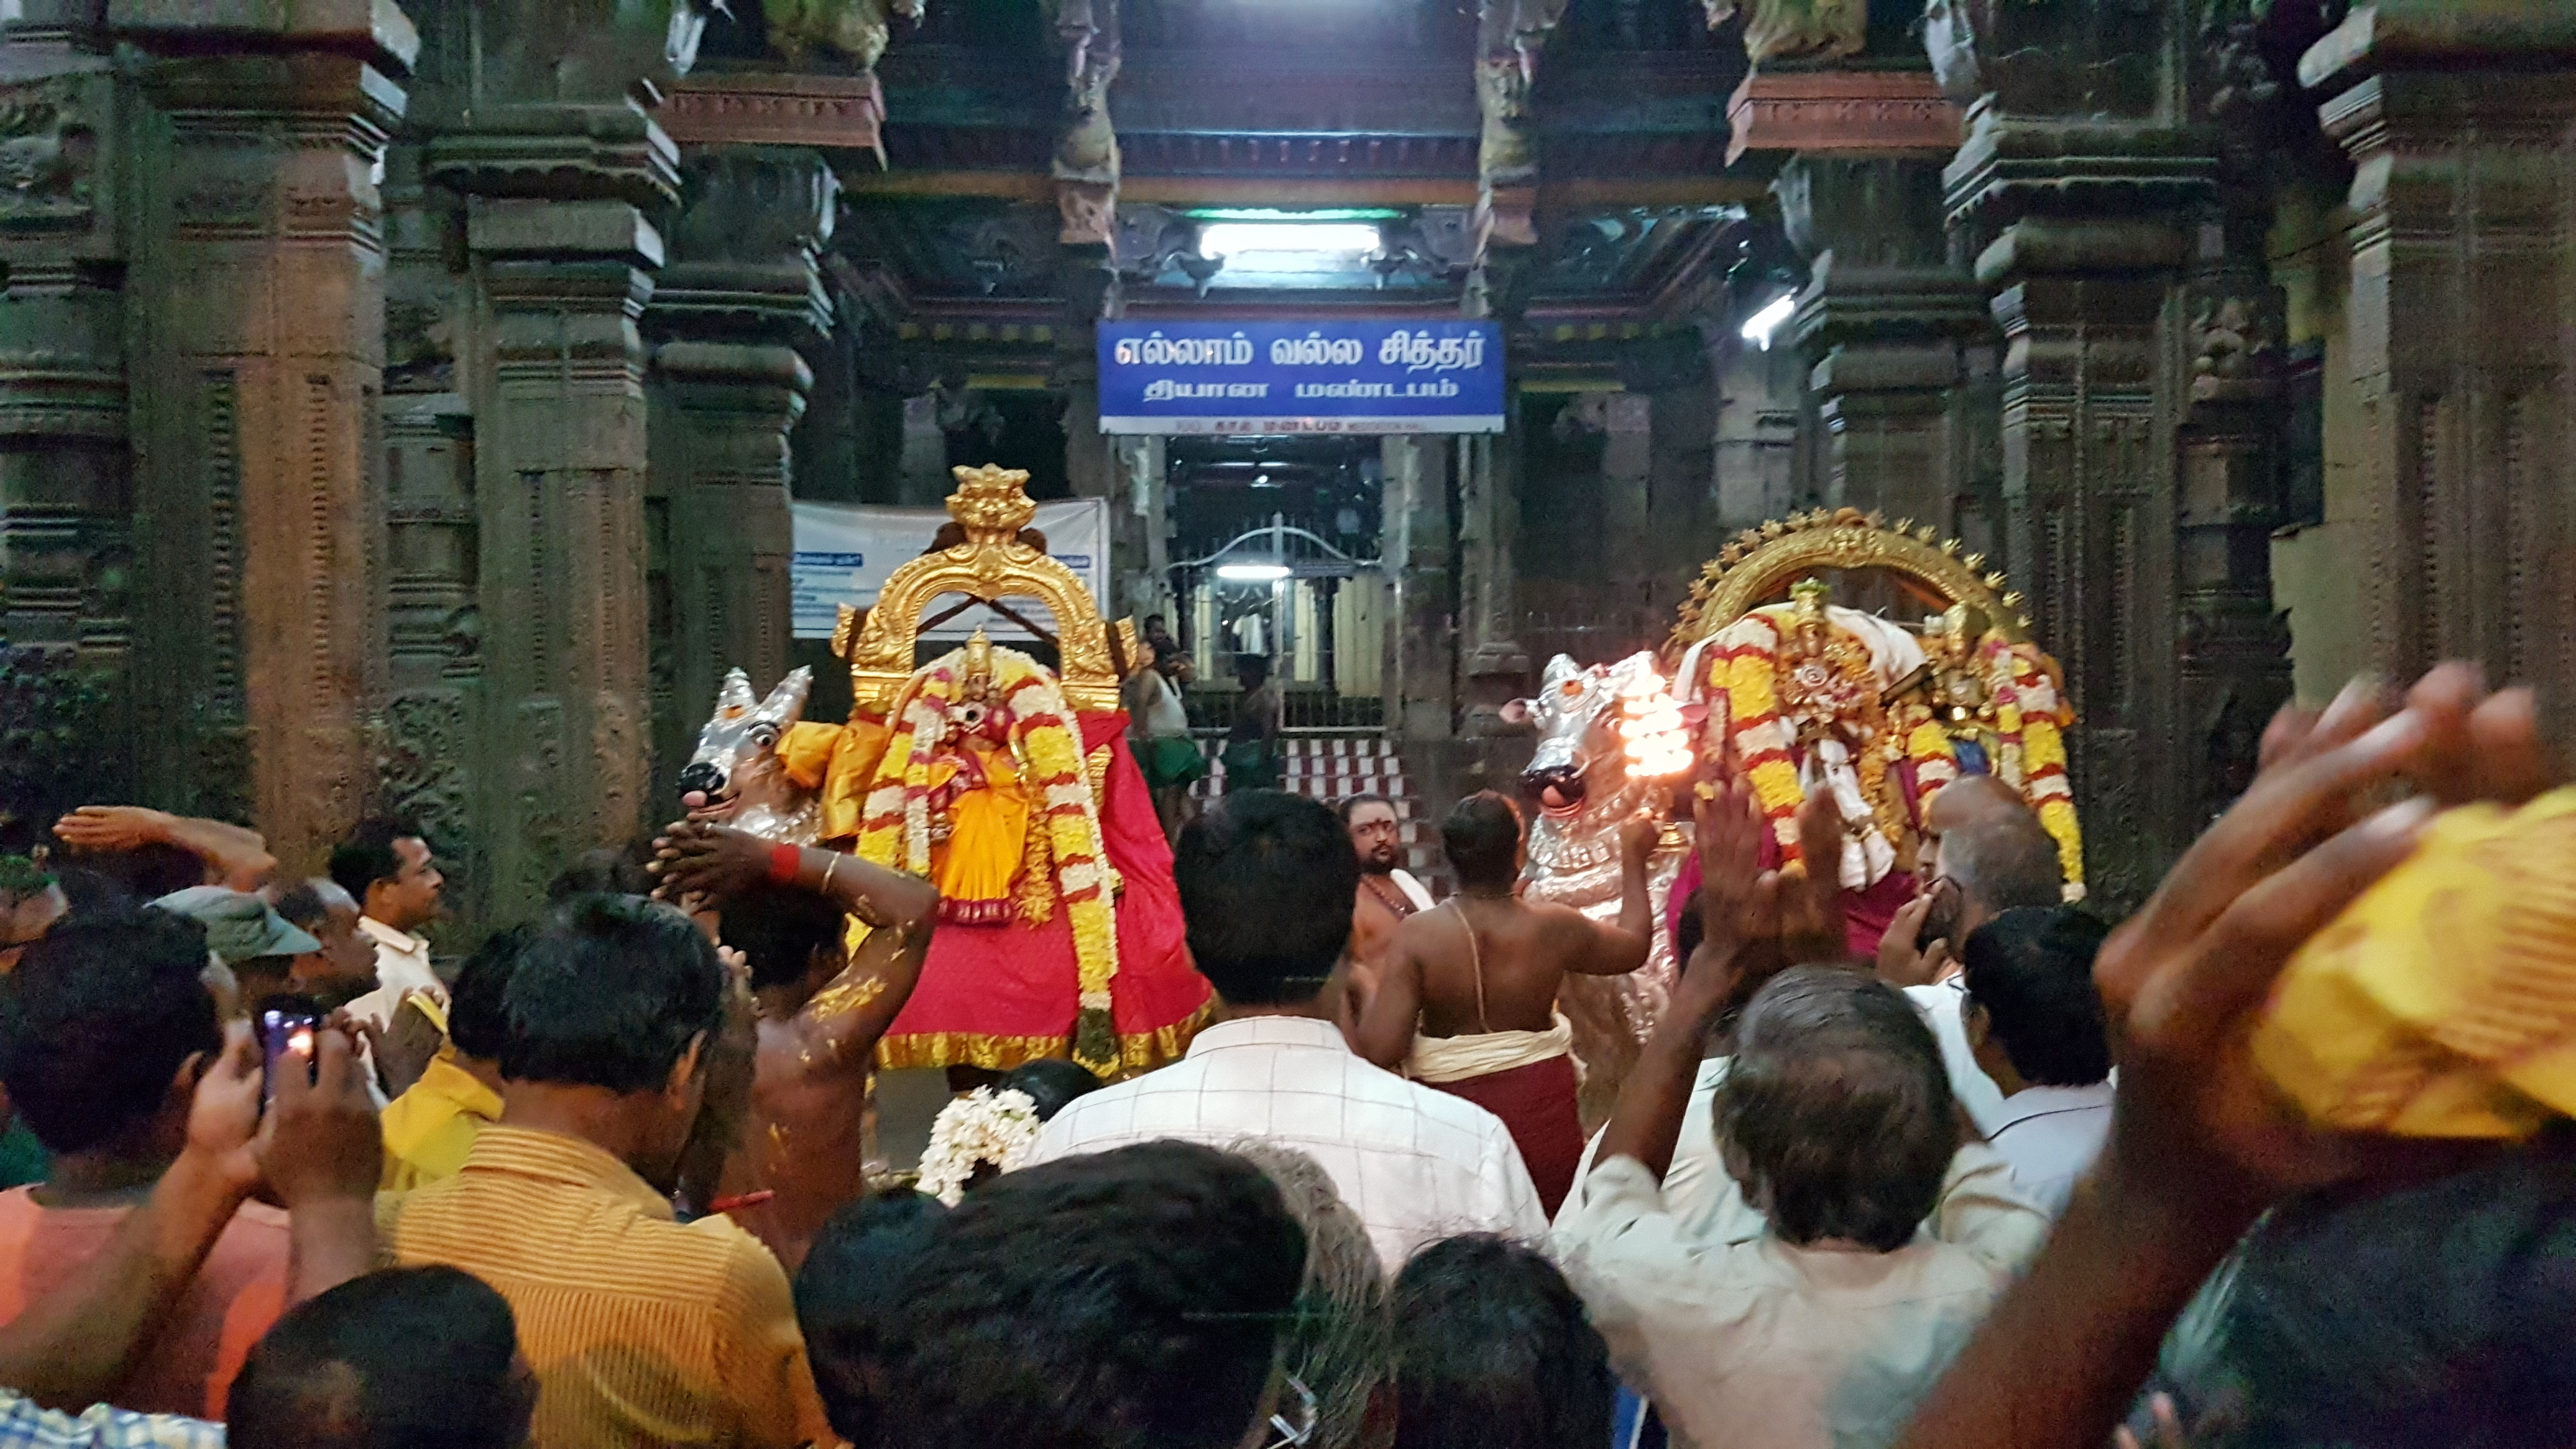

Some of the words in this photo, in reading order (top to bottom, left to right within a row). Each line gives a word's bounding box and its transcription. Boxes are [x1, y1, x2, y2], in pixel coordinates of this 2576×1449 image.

[1110, 327, 1259, 370] எல்லாம்
[1265, 326, 1367, 370] வல்ல
[1376, 321, 1486, 377] சித்தர்
[1140, 375, 1273, 404] தியான
[1290, 374, 1464, 401] மண்டபம்